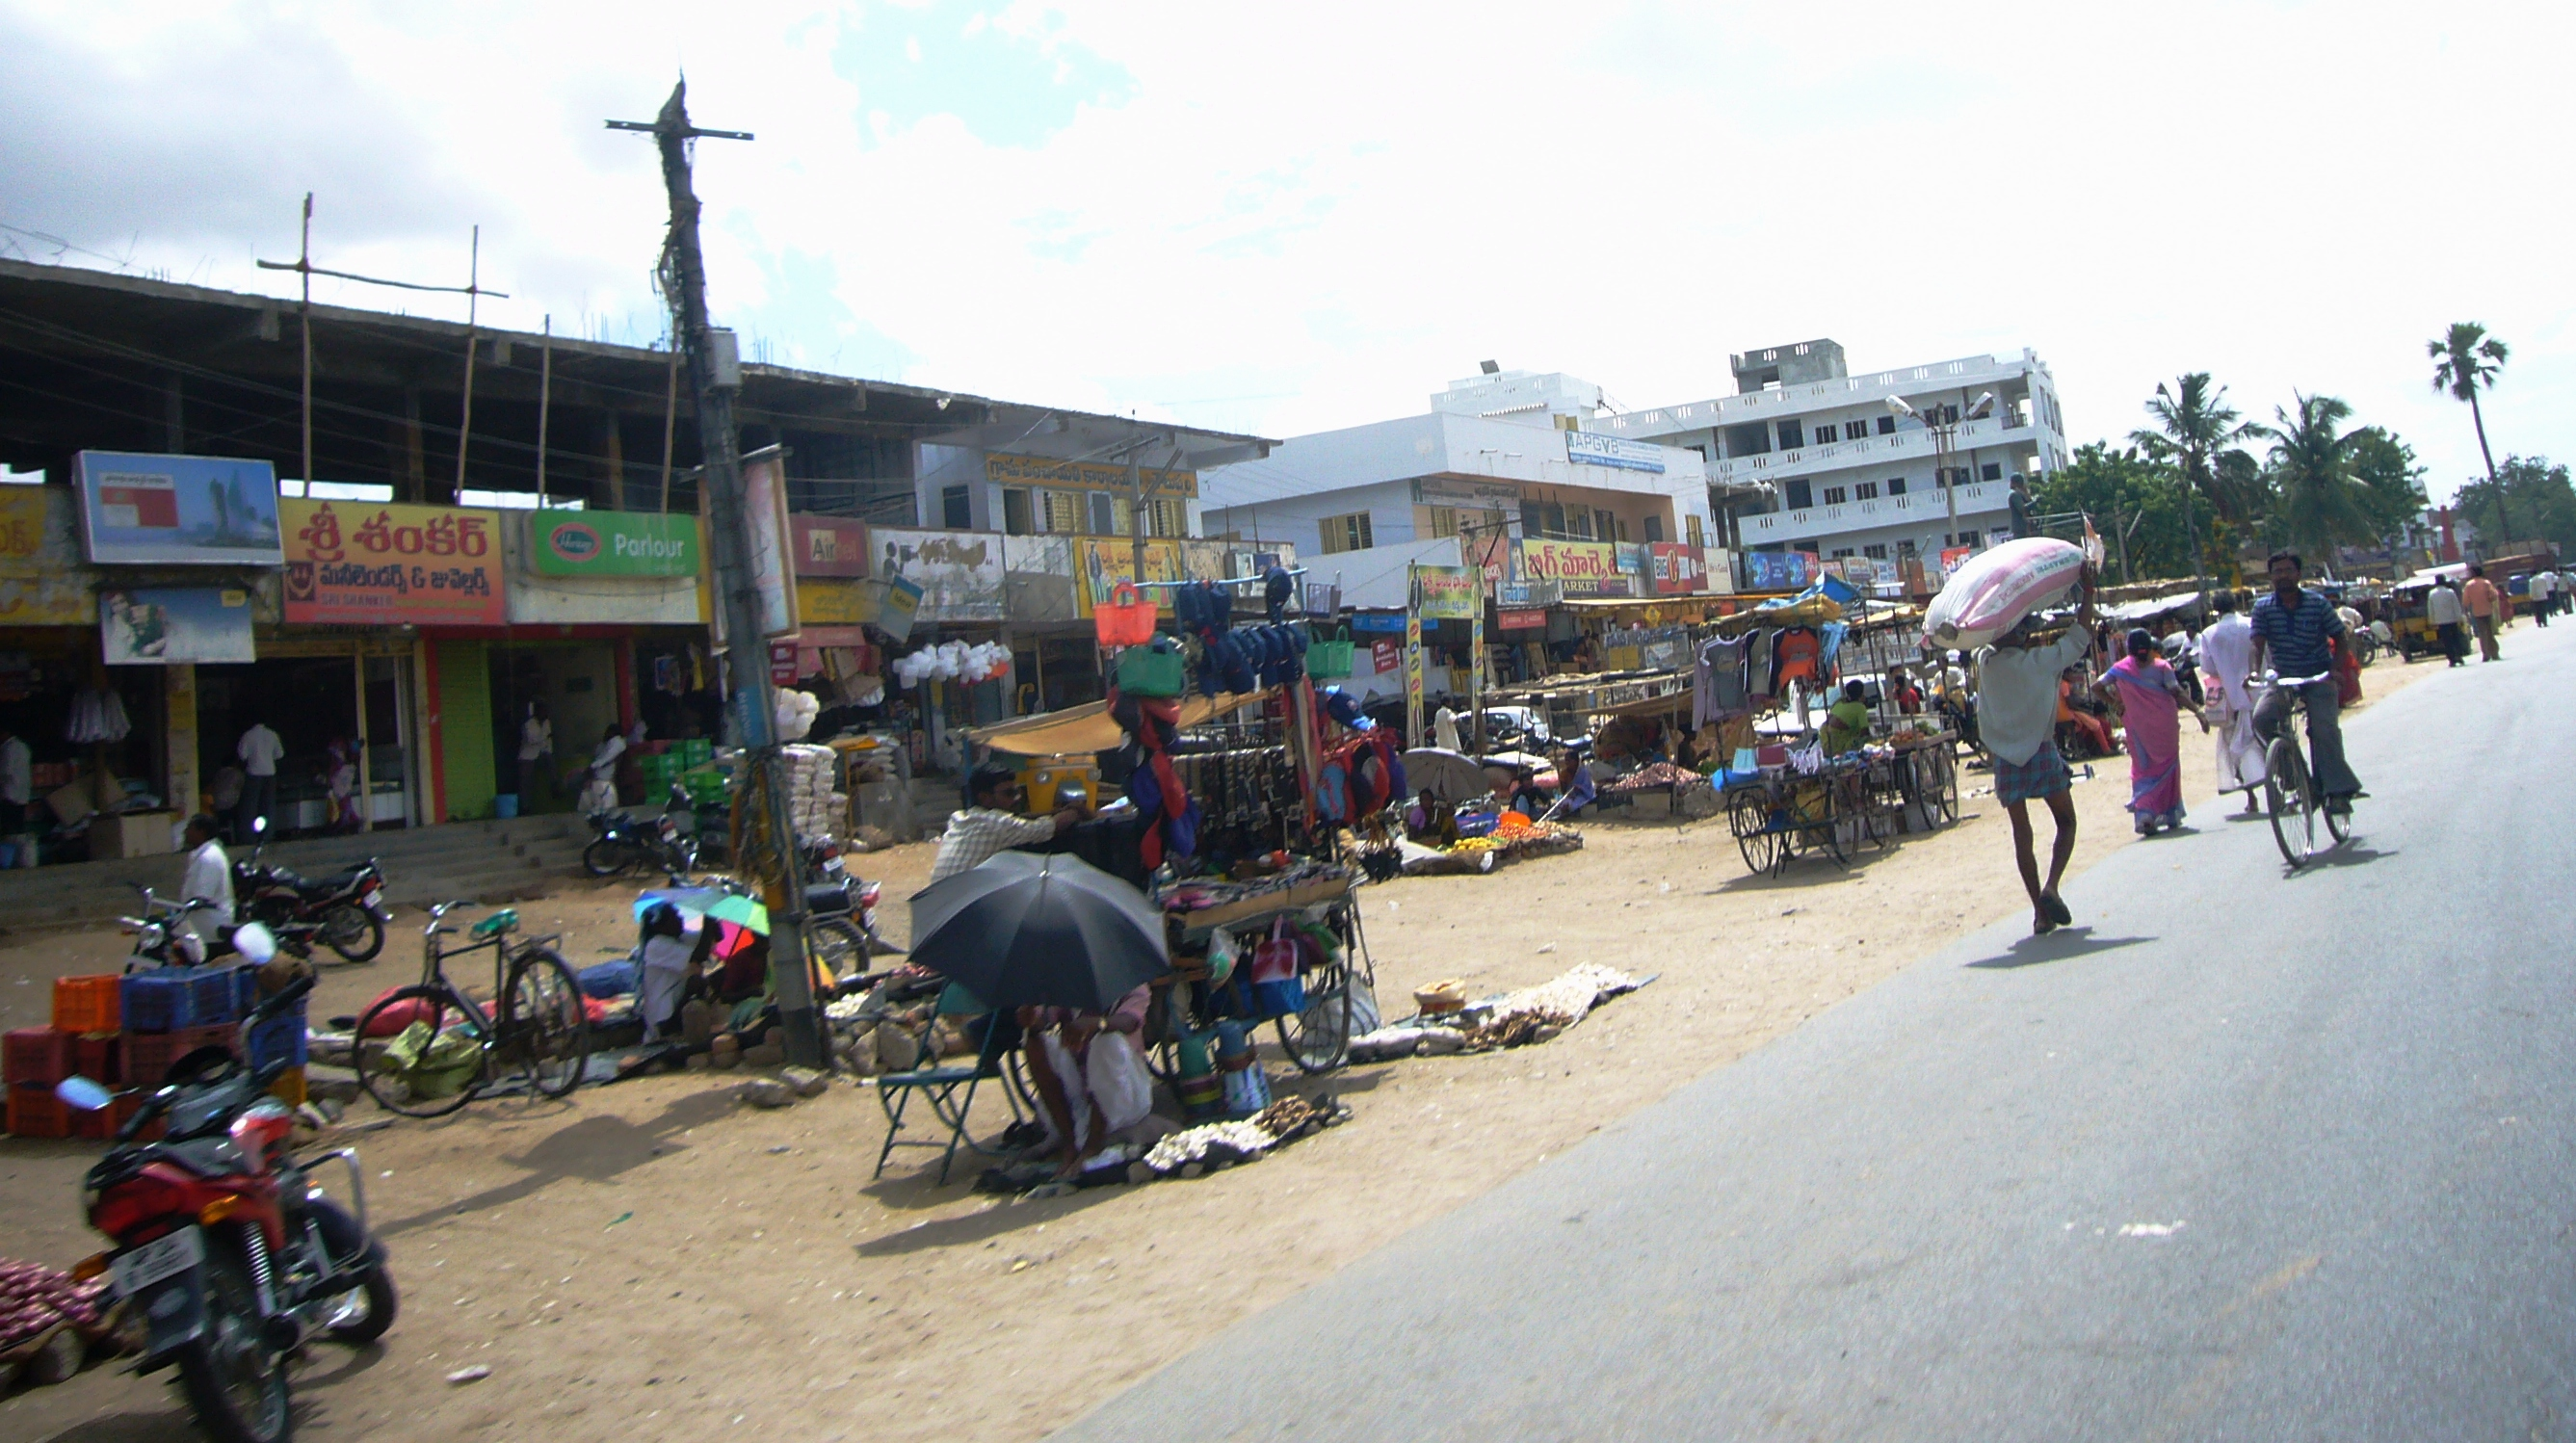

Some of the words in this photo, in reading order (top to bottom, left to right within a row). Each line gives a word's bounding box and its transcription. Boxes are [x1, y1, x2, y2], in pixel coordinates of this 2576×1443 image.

[986, 451, 1026, 483] గ్రామ
[1014, 454, 1085, 485] పంచాయతి
[1078, 461, 1144, 490] కార్యాలయ
[290, 494, 350, 564] శ్ర
[313, 556, 413, 596] మనీలెండర్స్
[345, 506, 490, 563] శంకర్
[405, 562, 430, 593] &
[425, 562, 496, 600] జువెల్లర్స్
[614, 529, 688, 561] Parlour
[1517, 538, 1564, 579] బిగ్
[1556, 540, 1610, 582] మార్కె